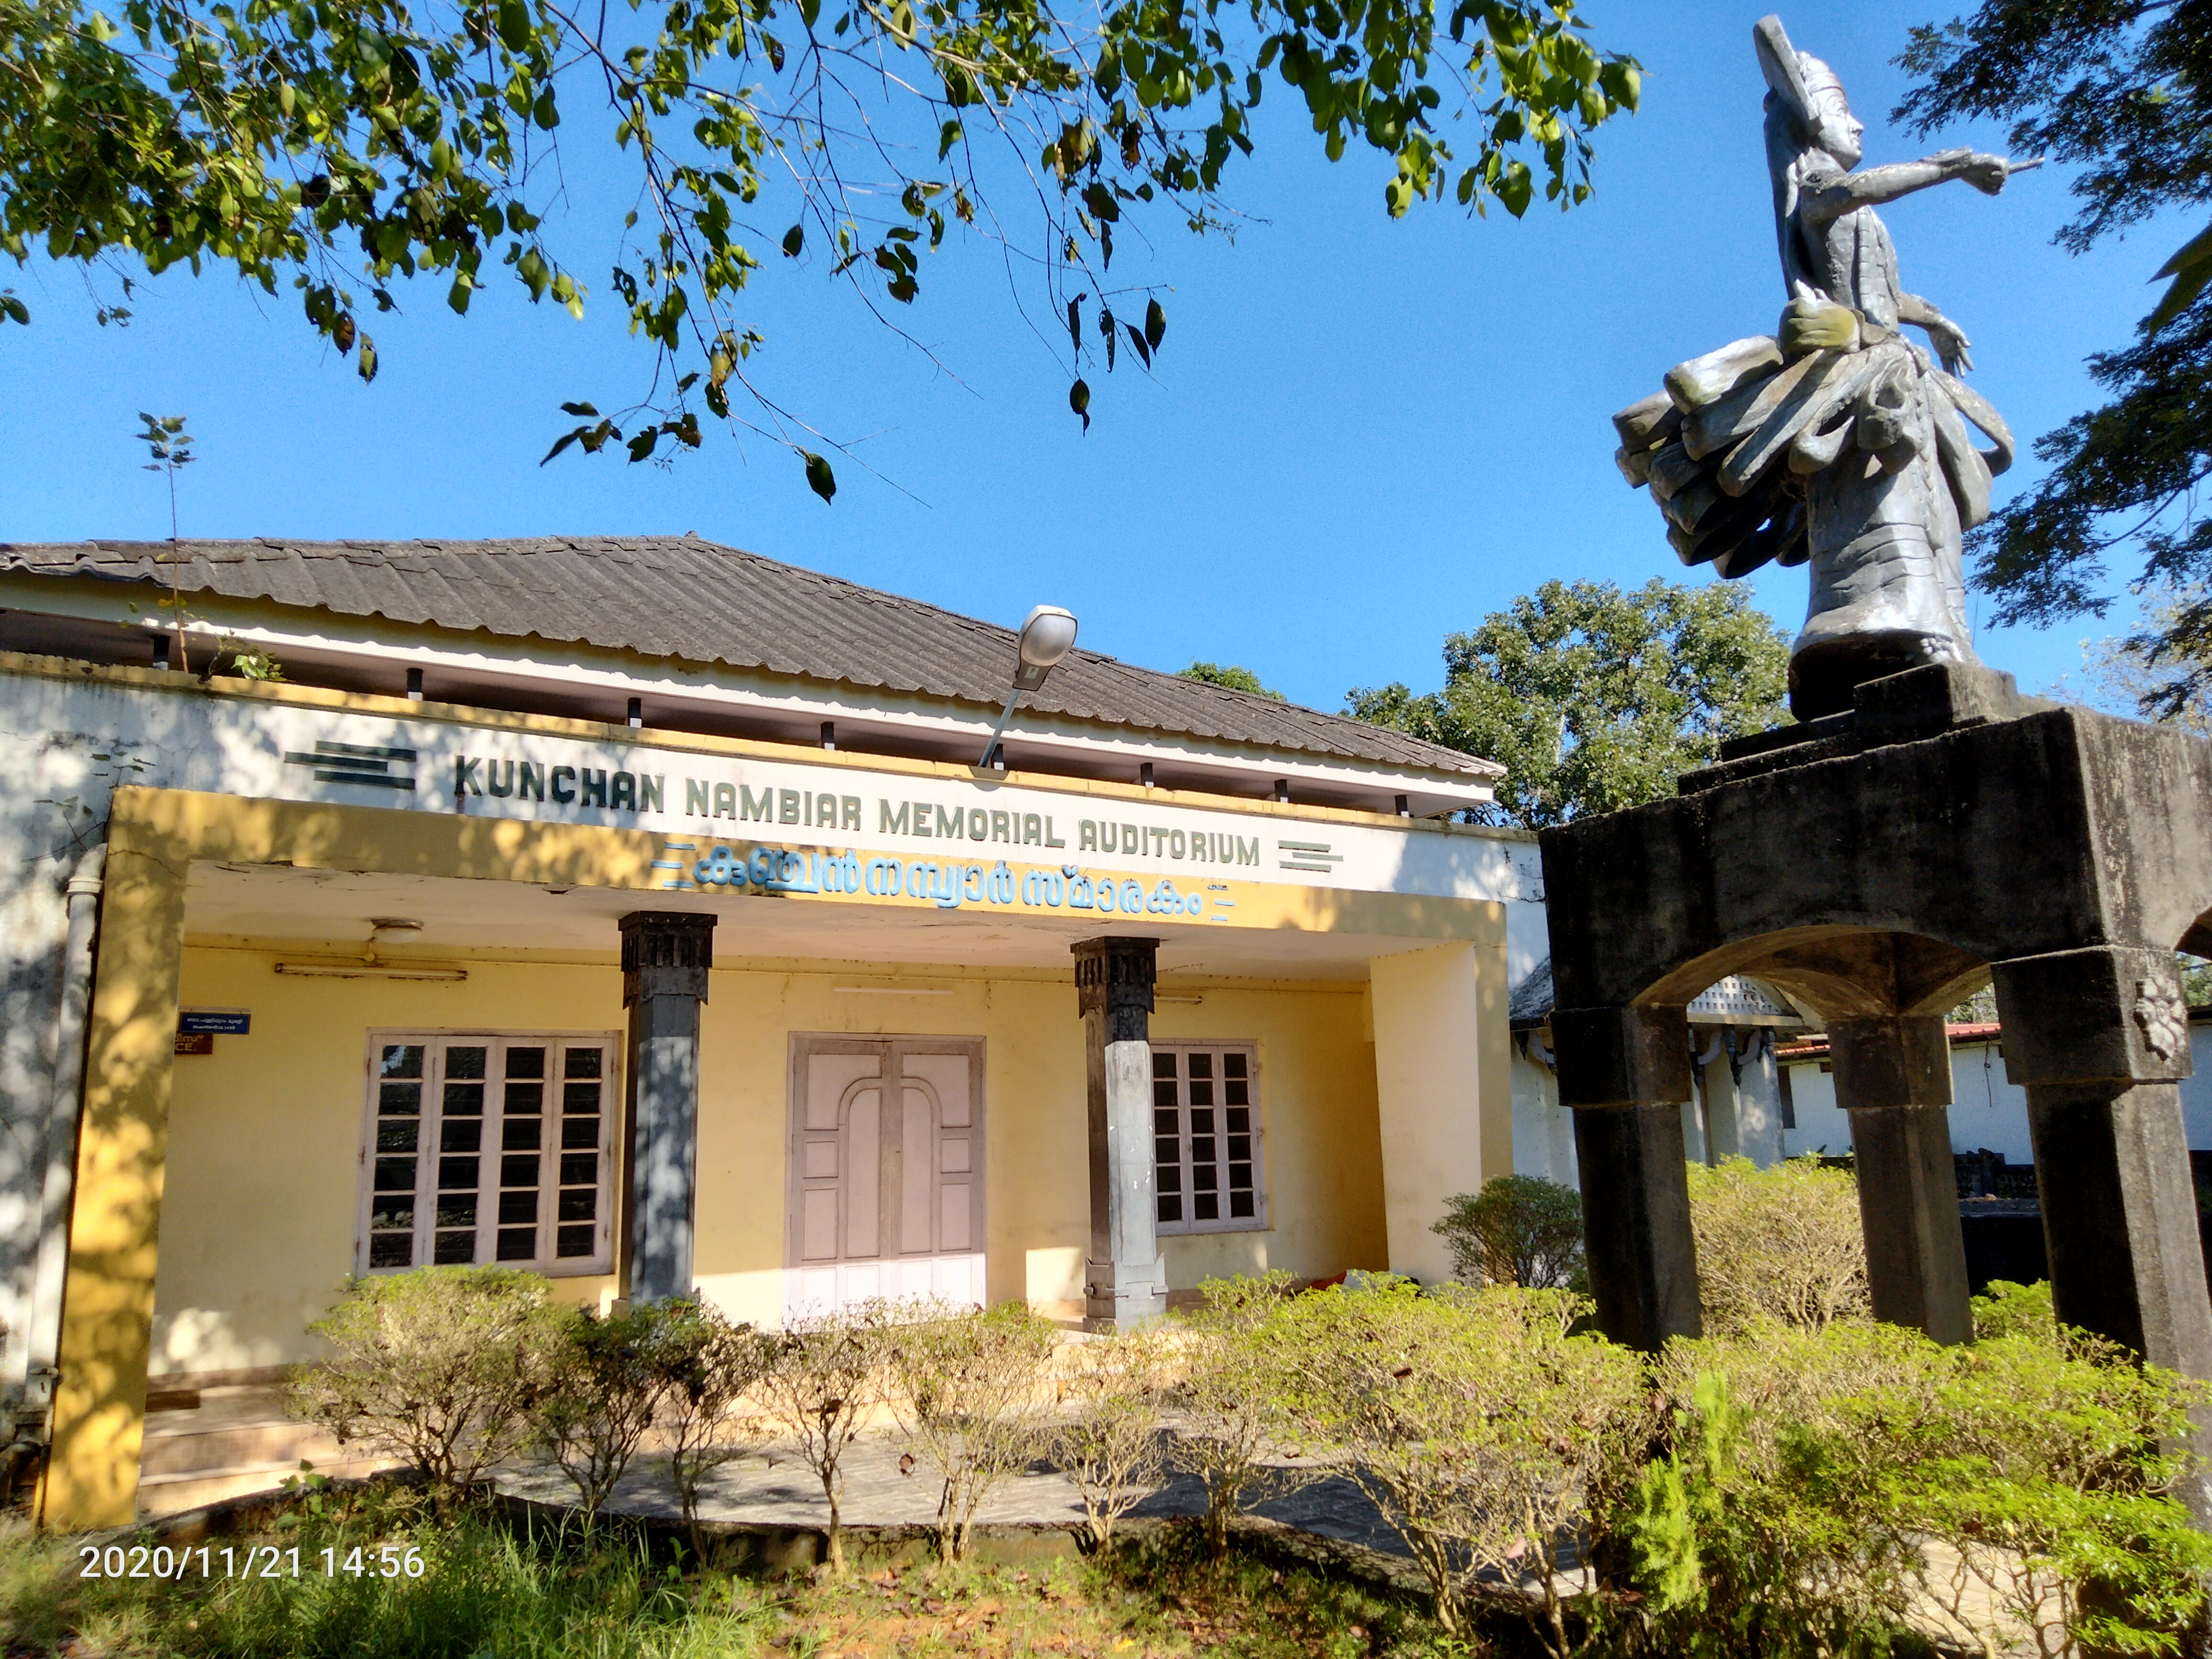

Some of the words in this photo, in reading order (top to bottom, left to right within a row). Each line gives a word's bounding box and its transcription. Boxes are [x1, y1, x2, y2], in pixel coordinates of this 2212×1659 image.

[452, 752, 668, 817] KUNCHAN
[681, 774, 866, 835] NAMBIAR
[875, 794, 1069, 852] MEMORIAL
[1078, 816, 1262, 868] AUDITORIUM
[688, 838, 1020, 910] കുഞ്ചൻനമ്പ്വാർ
[1016, 861, 1207, 919] സ്മാരകം
[75, 1541, 308, 1585] 2020/11/21
[315, 1542, 429, 1583] 14:56